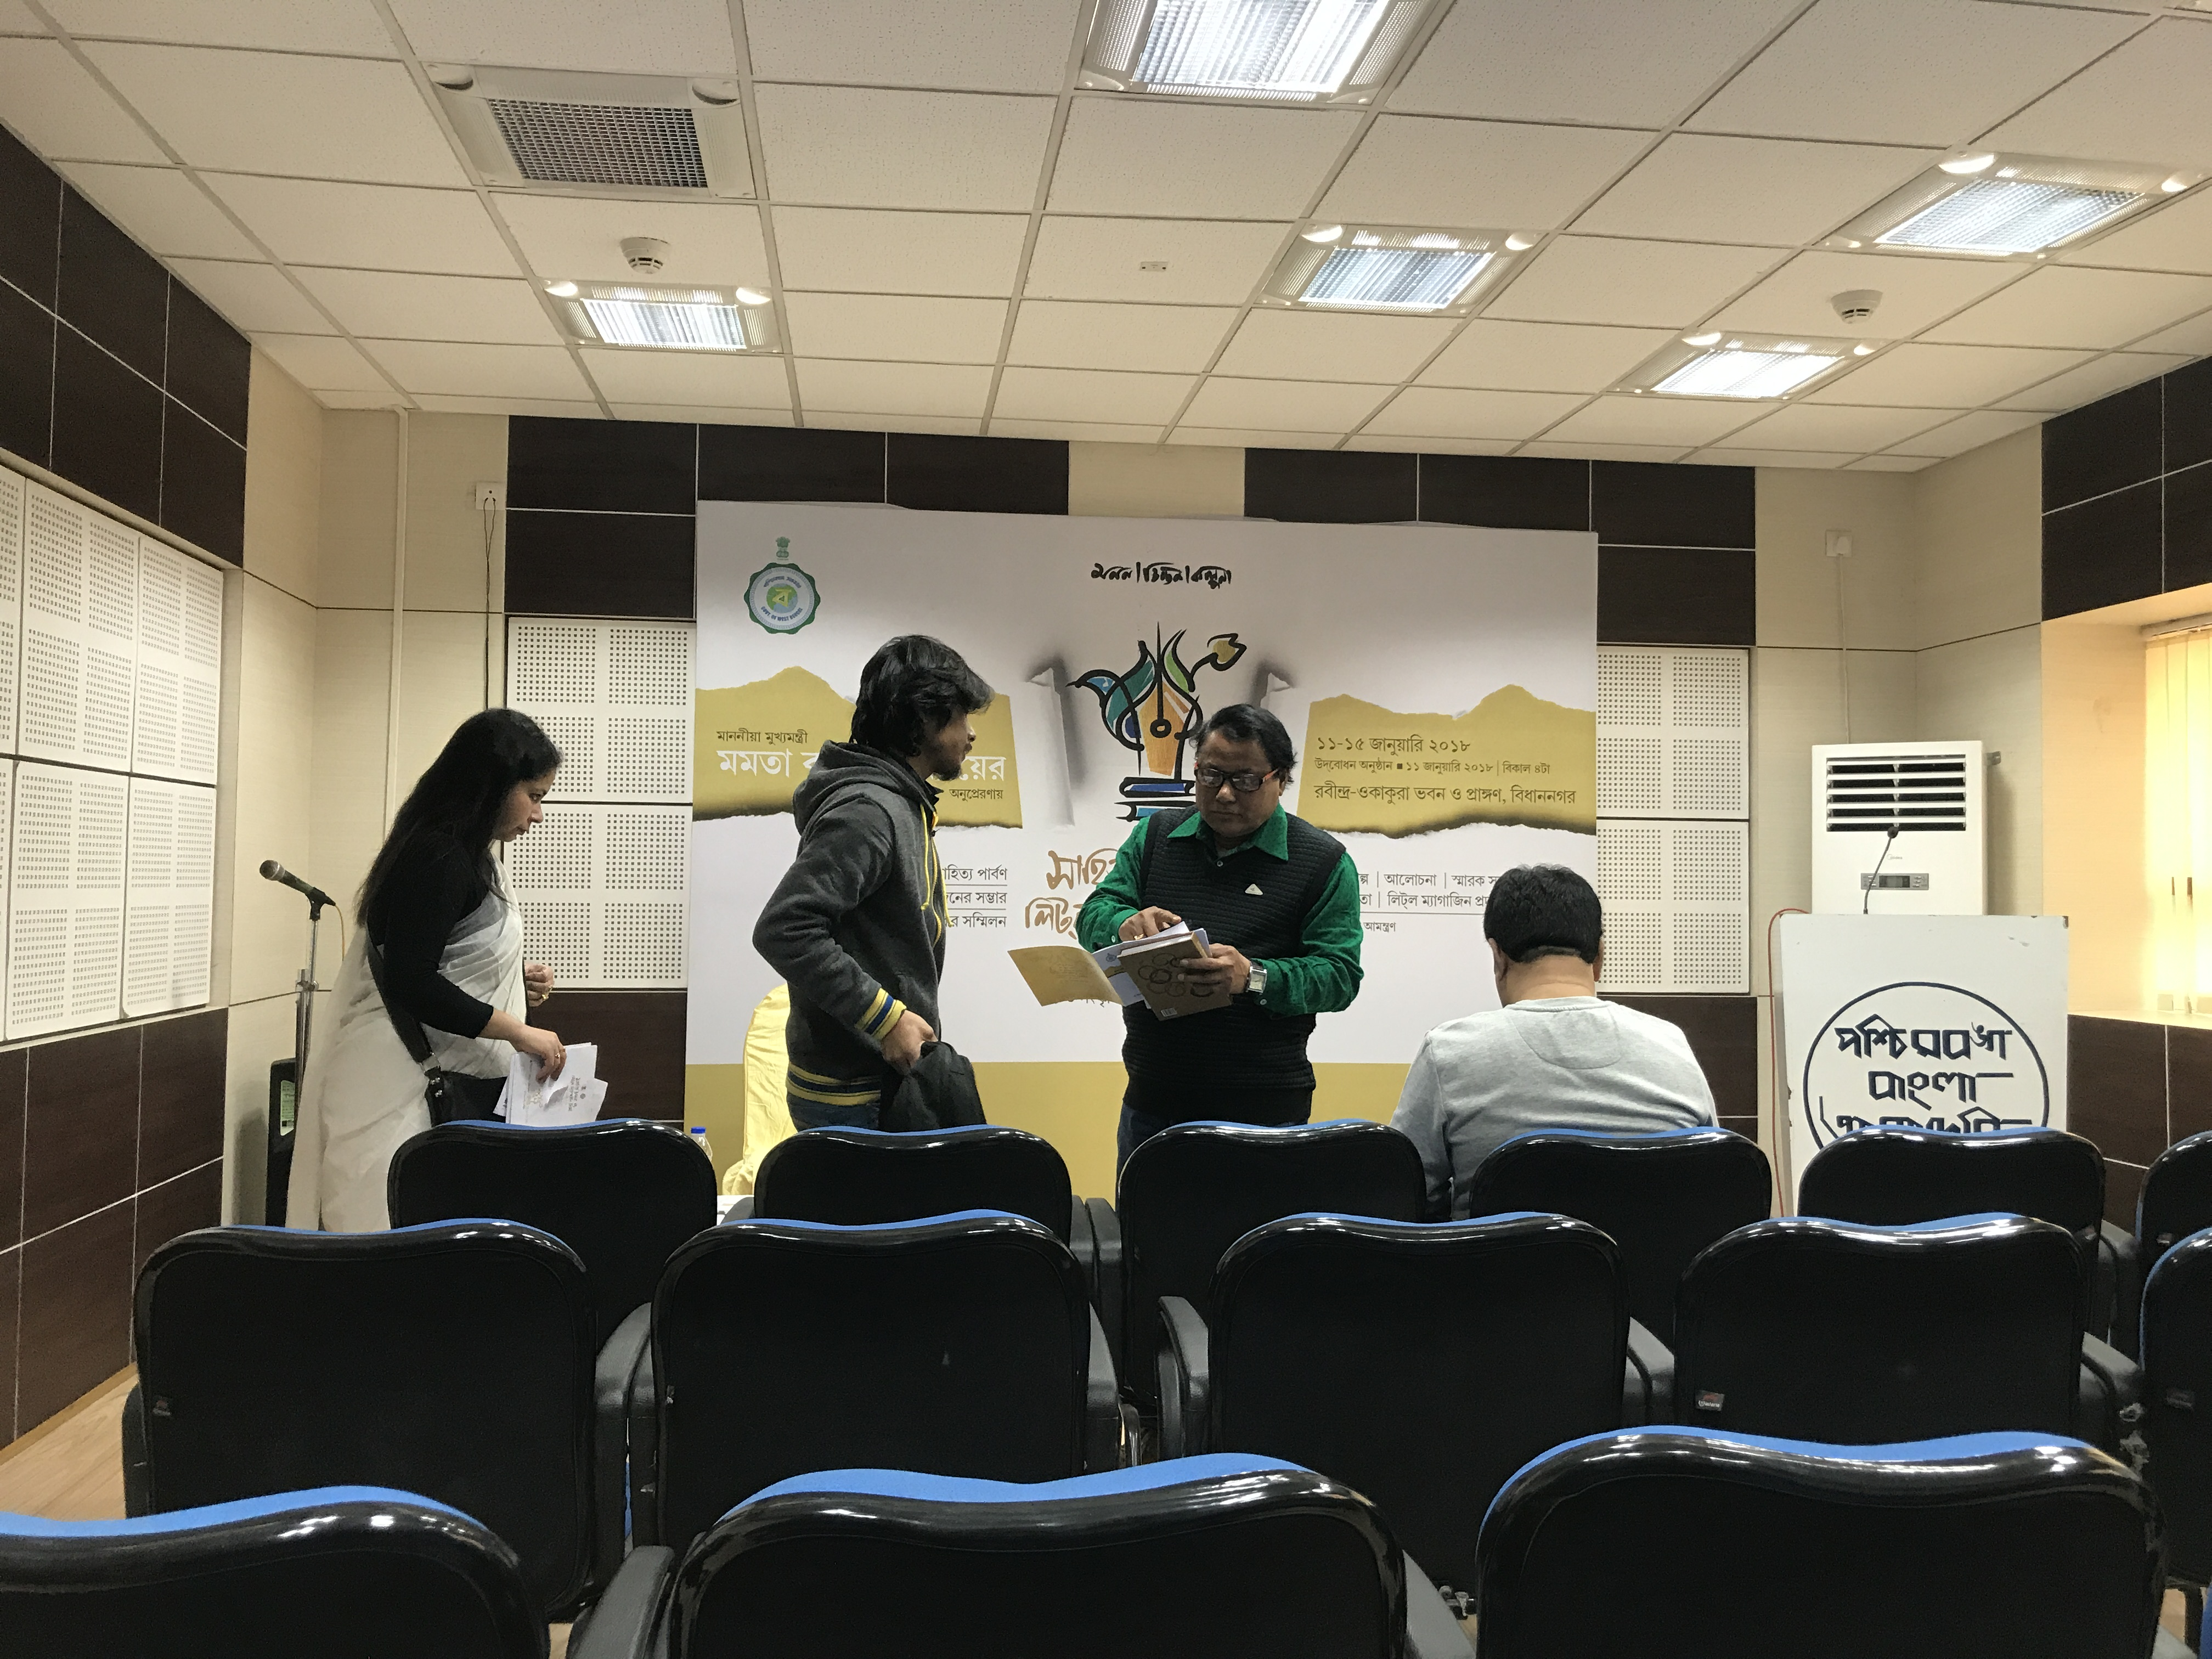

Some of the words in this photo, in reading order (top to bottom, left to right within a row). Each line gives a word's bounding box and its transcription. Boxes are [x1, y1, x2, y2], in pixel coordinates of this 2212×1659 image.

[714, 721, 766, 746] মাননীয়া
[760, 721, 810, 754] মুখ্যমন্ত্রী
[1362, 729, 1428, 758] জানুয়ারি
[1427, 733, 1473, 757] ২০১৮
[712, 742, 792, 781] মমতা
[1310, 753, 1360, 775] উদ্বোধন
[1357, 753, 1395, 776] অনুষ্ঠান
[1423, 759, 1463, 778] জানুয়ারি
[1463, 761, 1498, 775] ২০১৮
[1500, 755, 1534, 776] বিকাল
[1529, 757, 1553, 776] ৪টা
[945, 784, 1009, 803] অনুপ্রেরণায়
[1312, 773, 1352, 802] রবীন্দ্র
[1354, 780, 1413, 809] ওকাকুরা
[1410, 785, 1448, 805] ভবন
[1448, 785, 1466, 803] ও
[1462, 783, 1505, 806] প্রাঙ্গণ
[1505, 778, 1578, 807] বিধাননগর
[934, 861, 975, 882] হিত্য
[968, 862, 1013, 883] পার্বণ
[1382, 873, 1438, 888] আলোচনা
[1446, 872, 1488, 890] স্মারক
[939, 887, 974, 909] নের
[974, 887, 1010, 907] সম্ভার
[1381, 888, 1423, 911] লিট্ল
[1417, 889, 1476, 910] ম্যাগাজিন
[961, 906, 1011, 933] সম্মিলন
[1361, 919, 1398, 934] আমন্ত্রণ
[1830, 1008, 2014, 1062] পশ্চিমএসা
[1865, 1065, 2016, 1114] বাংলা